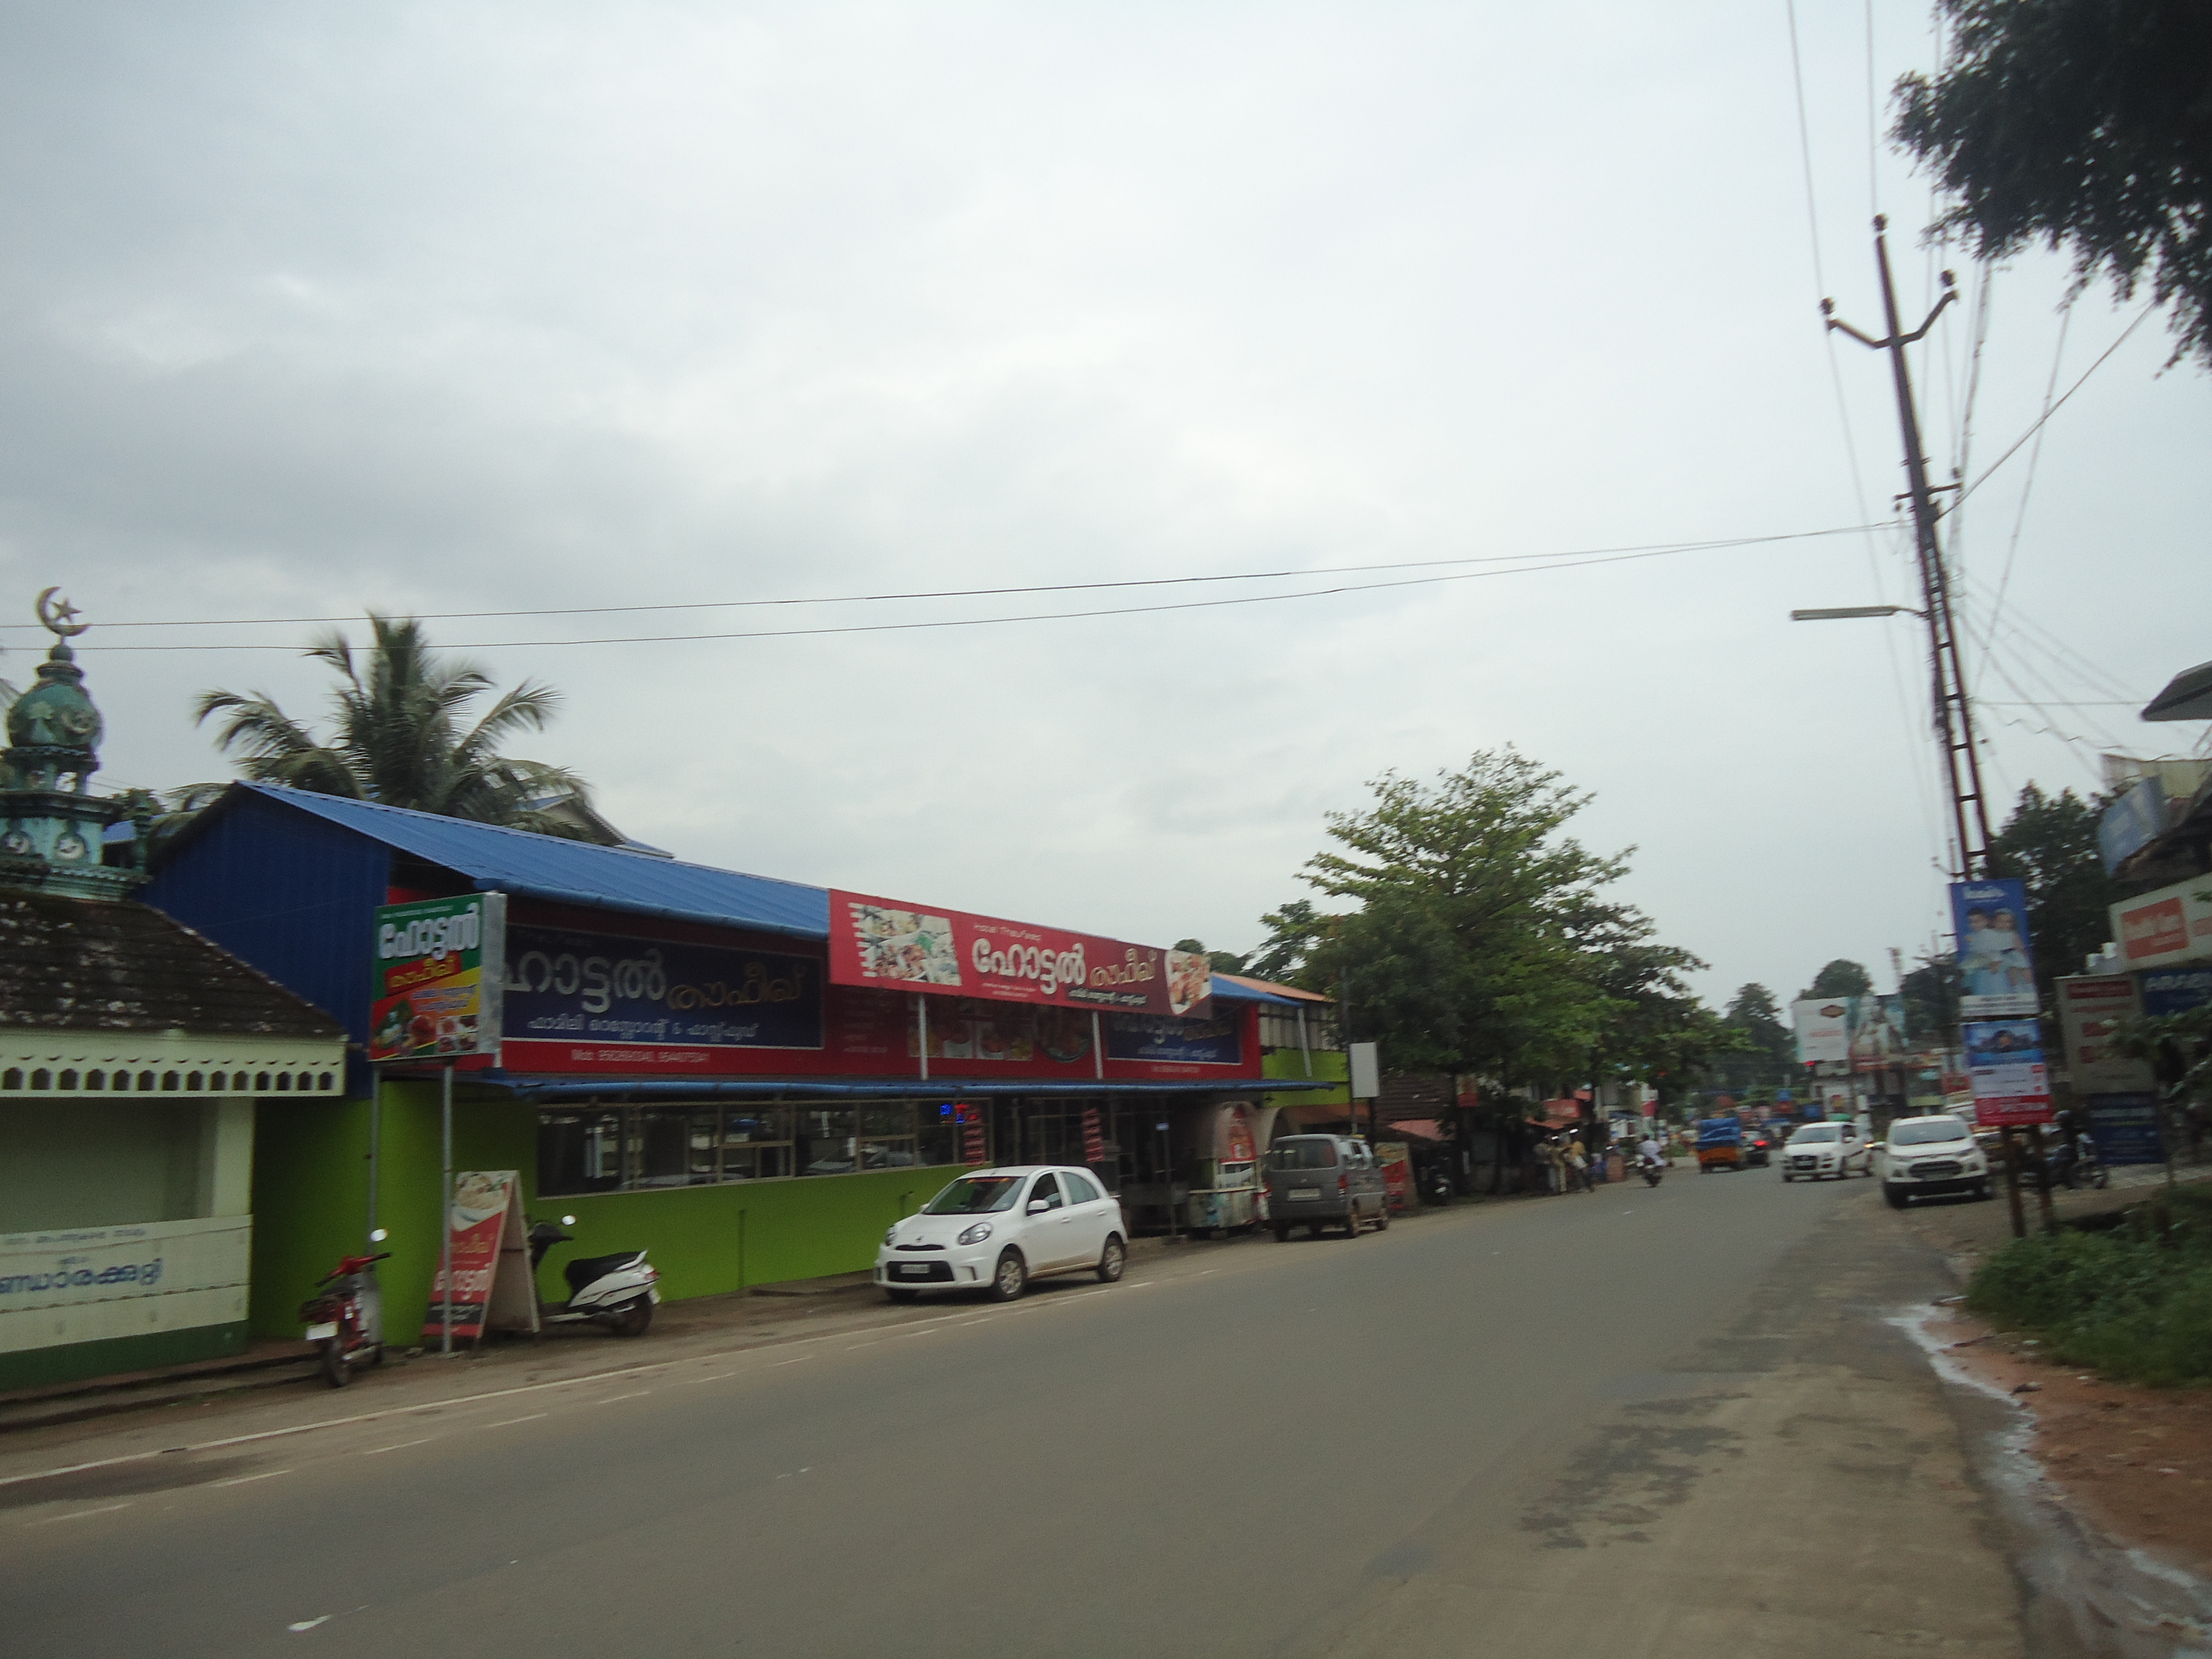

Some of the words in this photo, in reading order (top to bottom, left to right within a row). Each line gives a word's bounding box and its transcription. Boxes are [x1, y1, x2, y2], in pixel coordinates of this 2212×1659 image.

[373, 898, 485, 962] ഹോട്ടൽ
[496, 942, 672, 1016] ഹാട്ടൽ
[963, 934, 1090, 998] ഹോട്ടൽ
[3, 1254, 169, 1299] ന്ധാരക്കുട്ടി